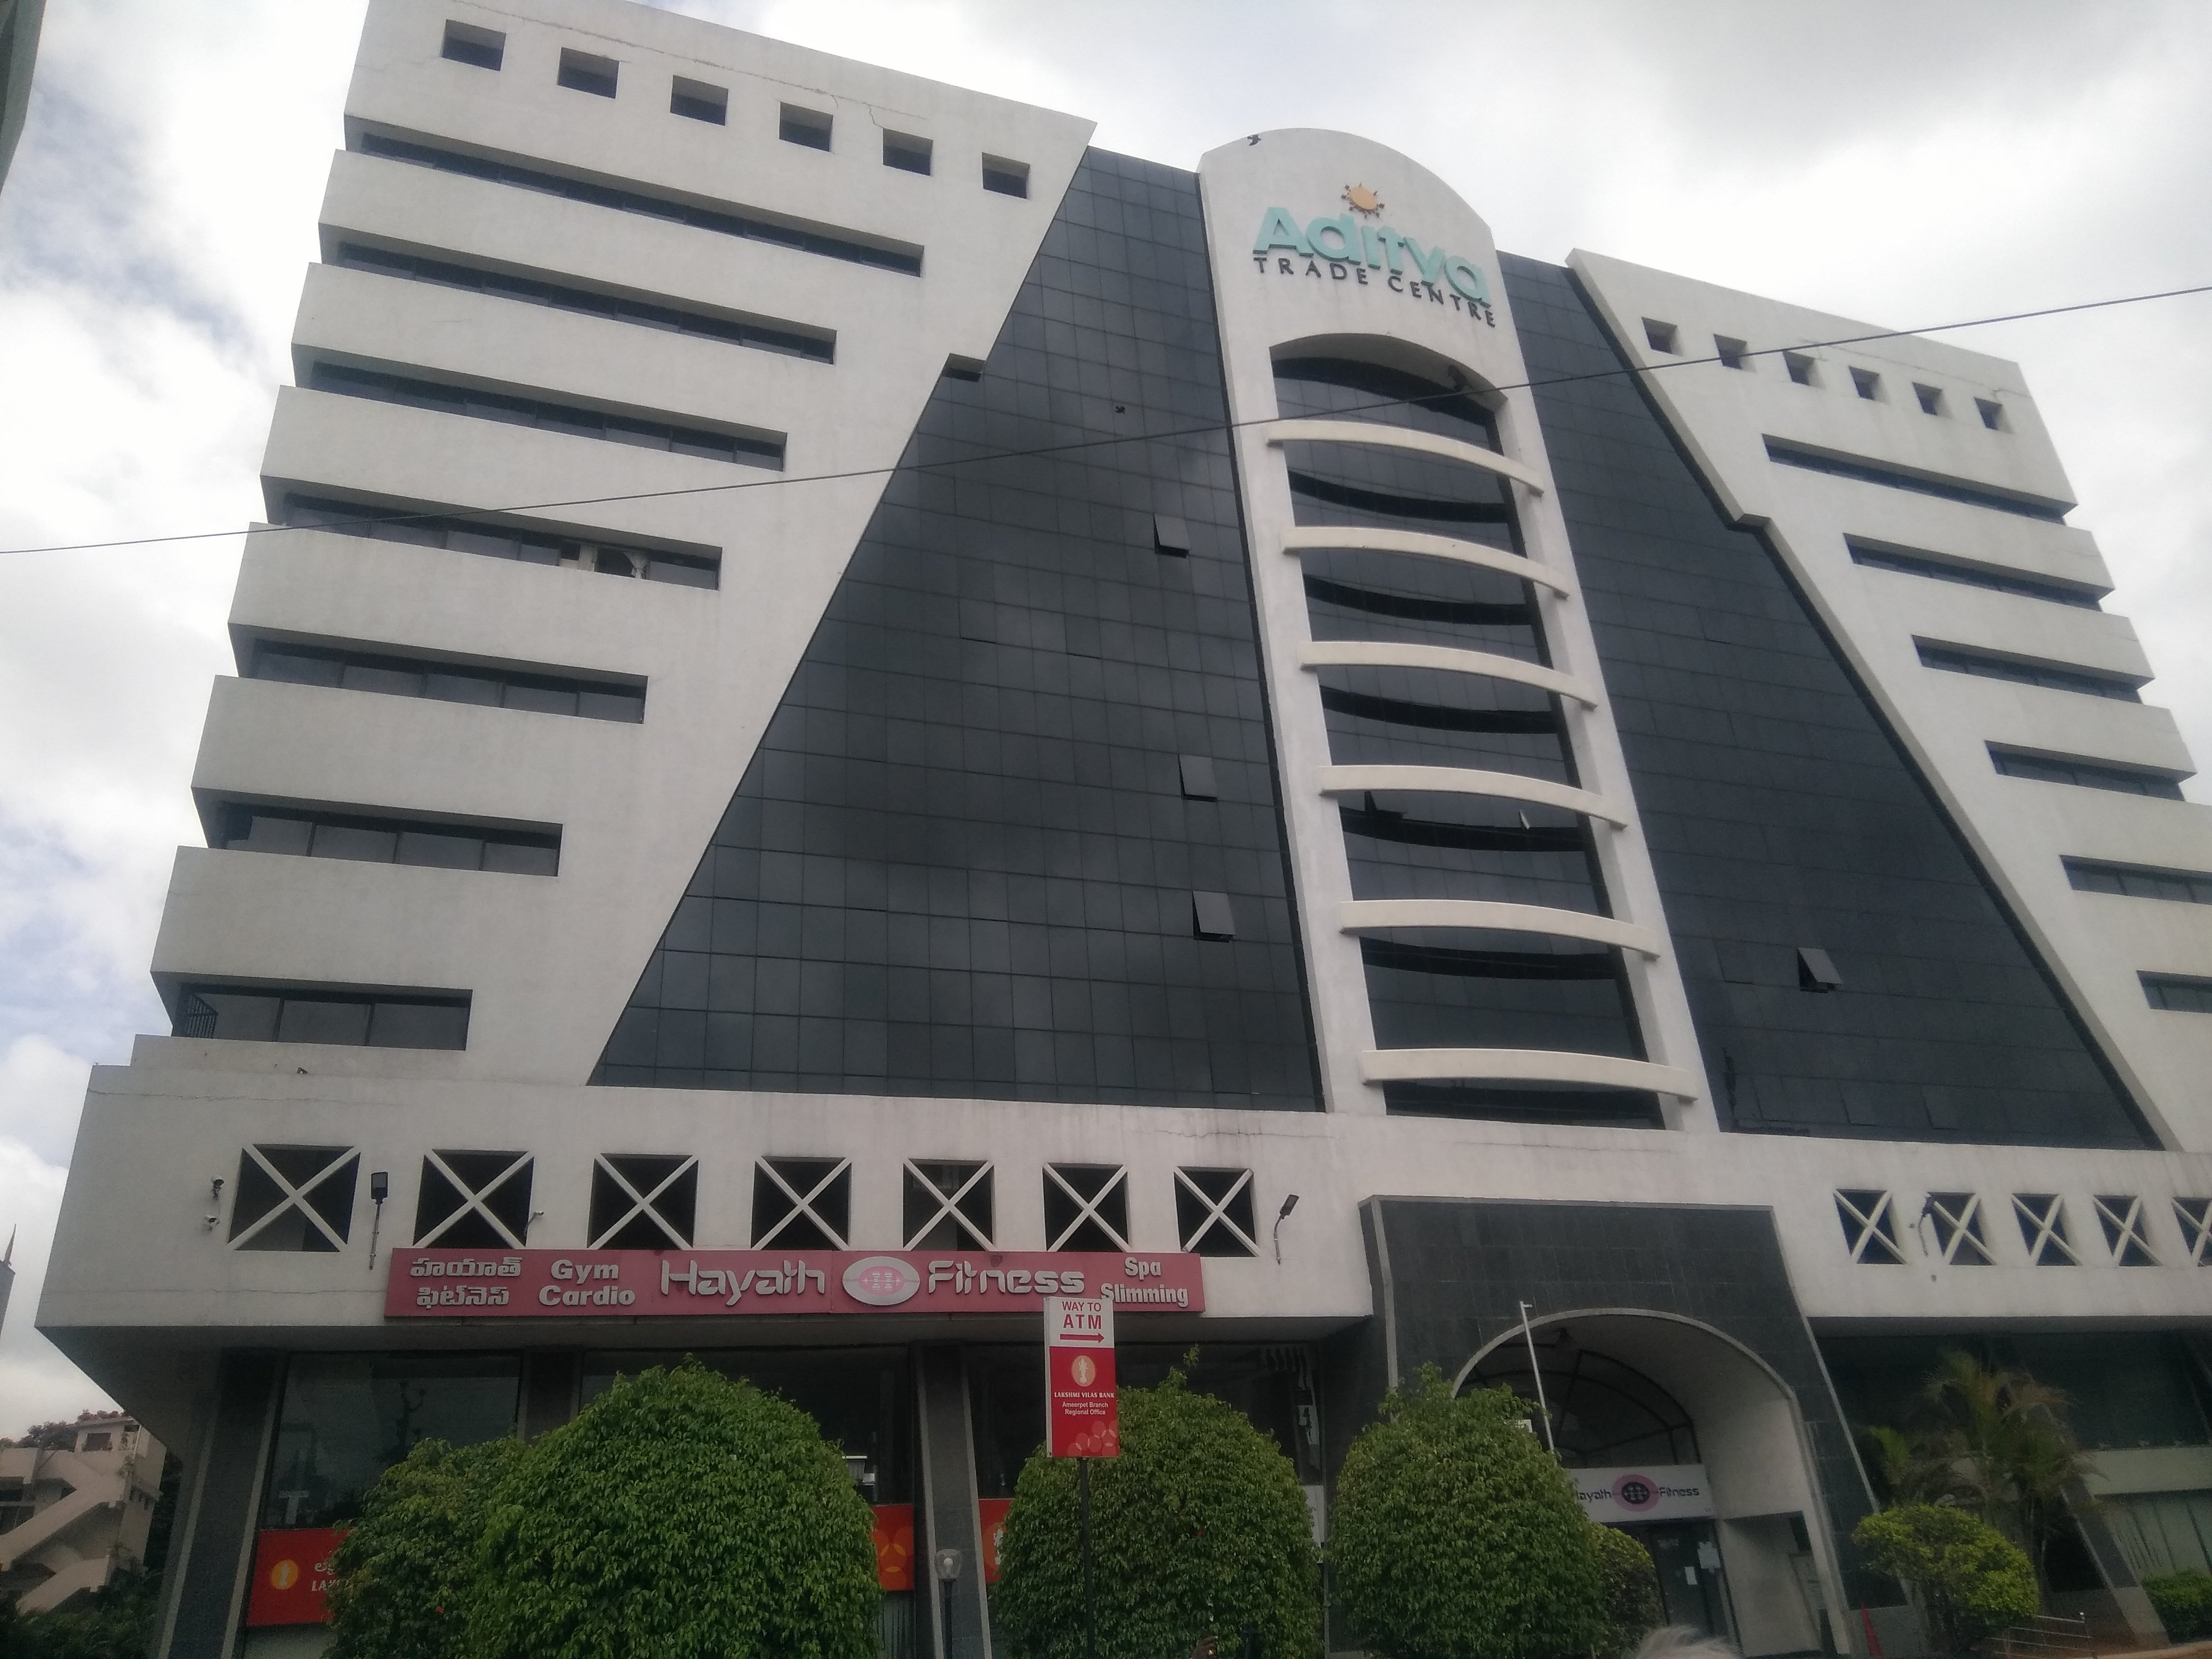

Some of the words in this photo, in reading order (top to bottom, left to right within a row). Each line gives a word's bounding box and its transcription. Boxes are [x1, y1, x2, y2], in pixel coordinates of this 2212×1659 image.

[1251, 256, 1369, 287] TRADE
[1247, 202, 1494, 316] Aditya
[1386, 274, 1498, 329] CENTRE
[414, 1282, 513, 1312] ఫిట్ నెన్
[408, 1254, 525, 1279] హయాత్
[534, 1281, 636, 1308] Cardio
[550, 1257, 624, 1286] Gym
[659, 1257, 827, 1310] Hayath
[926, 1257, 1088, 1296] Fitness
[1061, 1298, 1087, 1312] WAY
[1085, 1299, 1104, 1314] TO
[1121, 1255, 1164, 1282] Spa
[1098, 1280, 1189, 1309] Slimming
[1060, 1309, 1104, 1331] ATM
[1052, 1390, 1081, 1400] LAKSHMI
[1061, 1400, 1091, 1410] Ameerpet
[1063, 1406, 1091, 1418] Regional
[1080, 1388, 1100, 1400] VILAS
[1088, 1406, 1109, 1418] Office
[1088, 1400, 1110, 1410] Branch
[1097, 1389, 1116, 1399] BANK